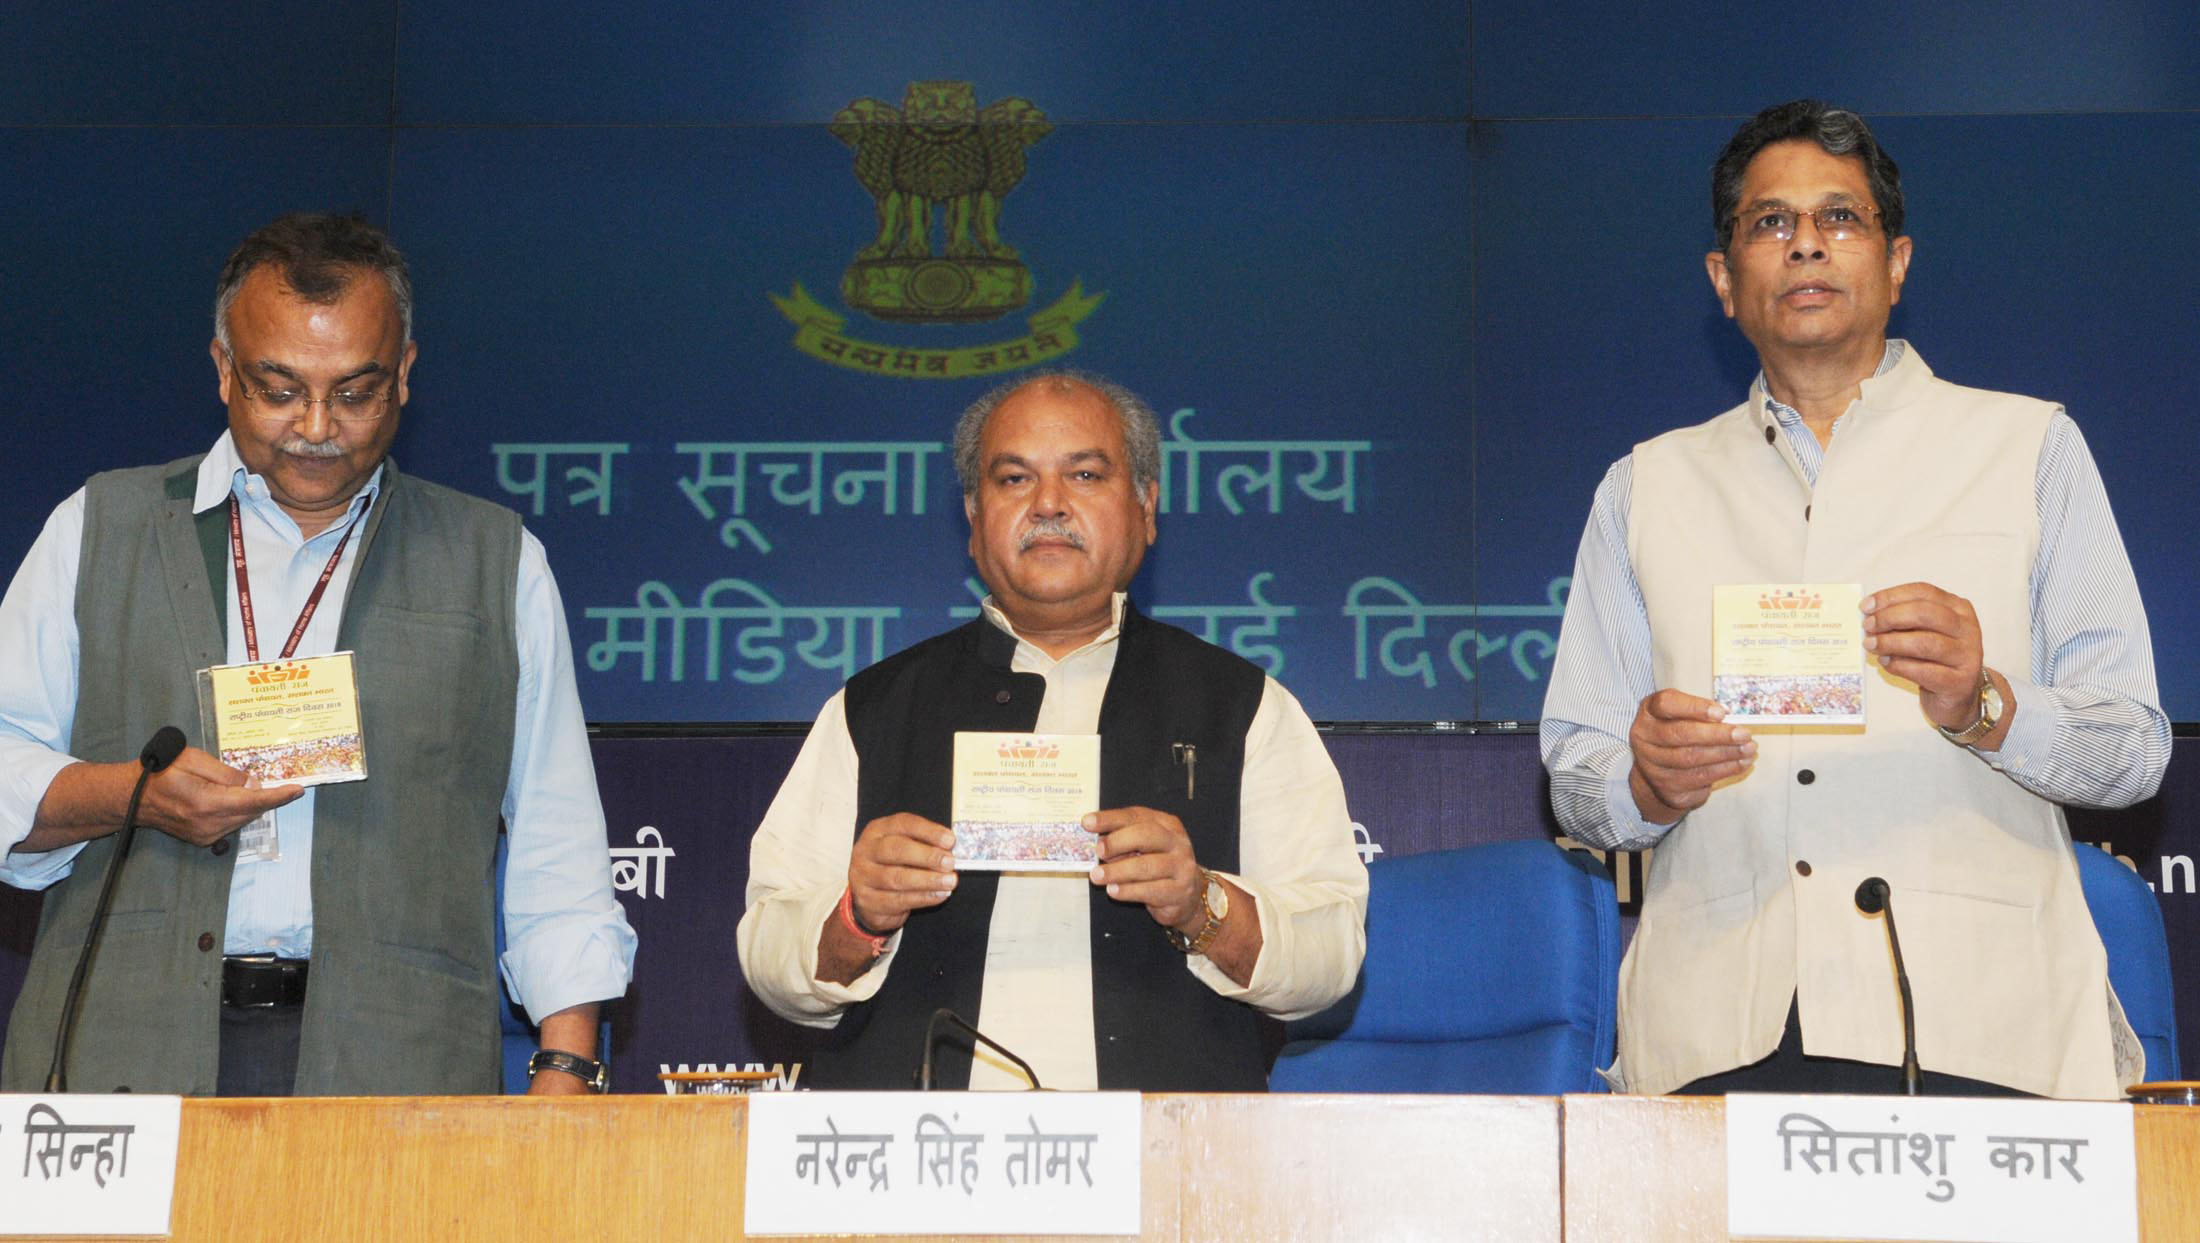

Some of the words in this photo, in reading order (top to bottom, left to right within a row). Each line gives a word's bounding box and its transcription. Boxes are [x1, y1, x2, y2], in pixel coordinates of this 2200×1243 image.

[816, 325, 955, 380] सत्यमेव
[969, 326, 1068, 377] जयते
[485, 432, 632, 527] पत्र
[669, 430, 947, 565] सूचना
[1138, 399, 1377, 524] लय
[579, 578, 899, 692] मीडिया
[1328, 562, 1582, 695] दिल्ली
[600, 822, 682, 909] बी
[12, 1103, 138, 1191] सिन्हा
[780, 1107, 905, 1198] नरेन्द्र
[904, 1106, 991, 1199] सिंह
[996, 1107, 1108, 1196] तोमर
[1761, 1105, 1965, 1211] सितांशु
[1982, 1128, 2091, 1190] कार